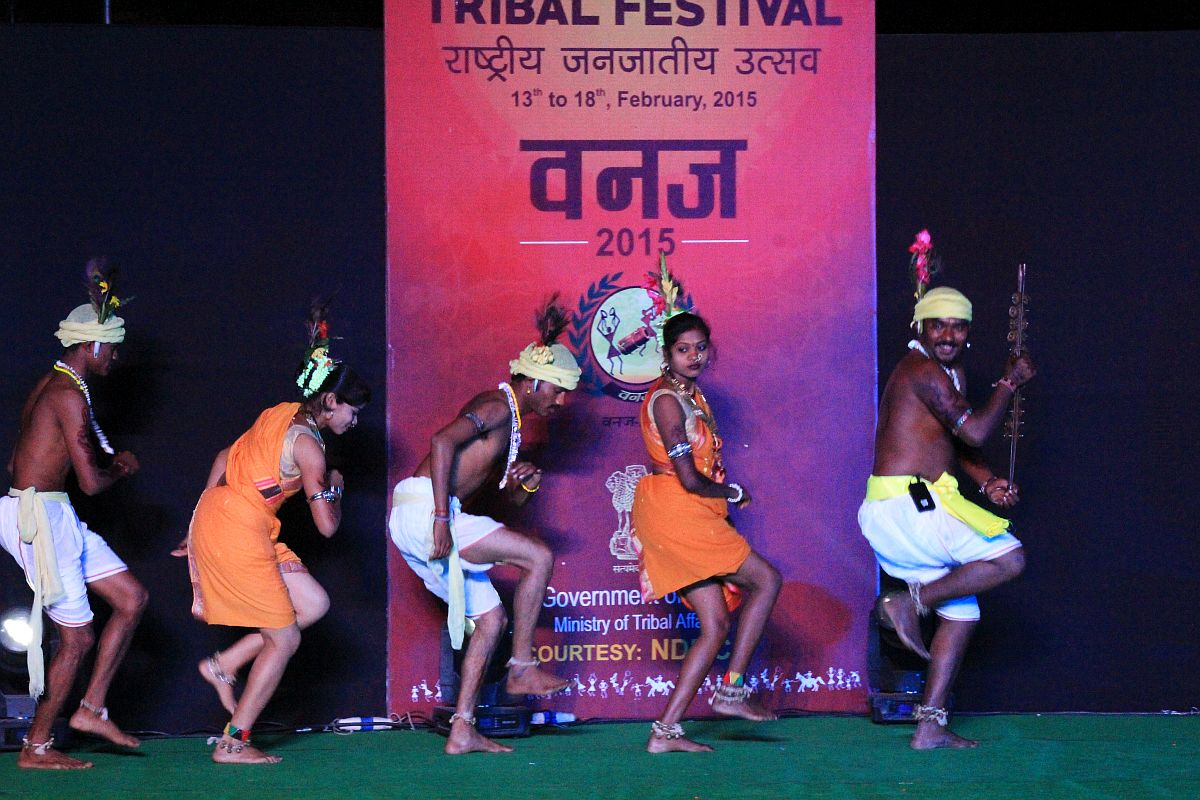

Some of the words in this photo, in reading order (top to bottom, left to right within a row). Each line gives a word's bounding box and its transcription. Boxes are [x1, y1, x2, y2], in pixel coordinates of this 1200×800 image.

[435, 27, 547, 86] राष्ट्रीय
[557, 27, 725, 78] जनजातीय
[729, 41, 821, 82] उत्सव
[507, 85, 542, 115] 13th
[541, 84, 608, 114] to18th
[613, 82, 707, 115] February,
[711, 86, 759, 109] 2015
[520, 134, 751, 223] वनज
[592, 223, 674, 260] 2015
[536, 579, 650, 613] Governme
[552, 613, 613, 641] Ministry
[606, 611, 633, 638] of
[627, 609, 677, 635] Tribal
[525, 639, 645, 667] COURTESY:
[647, 635, 690, 664] ND